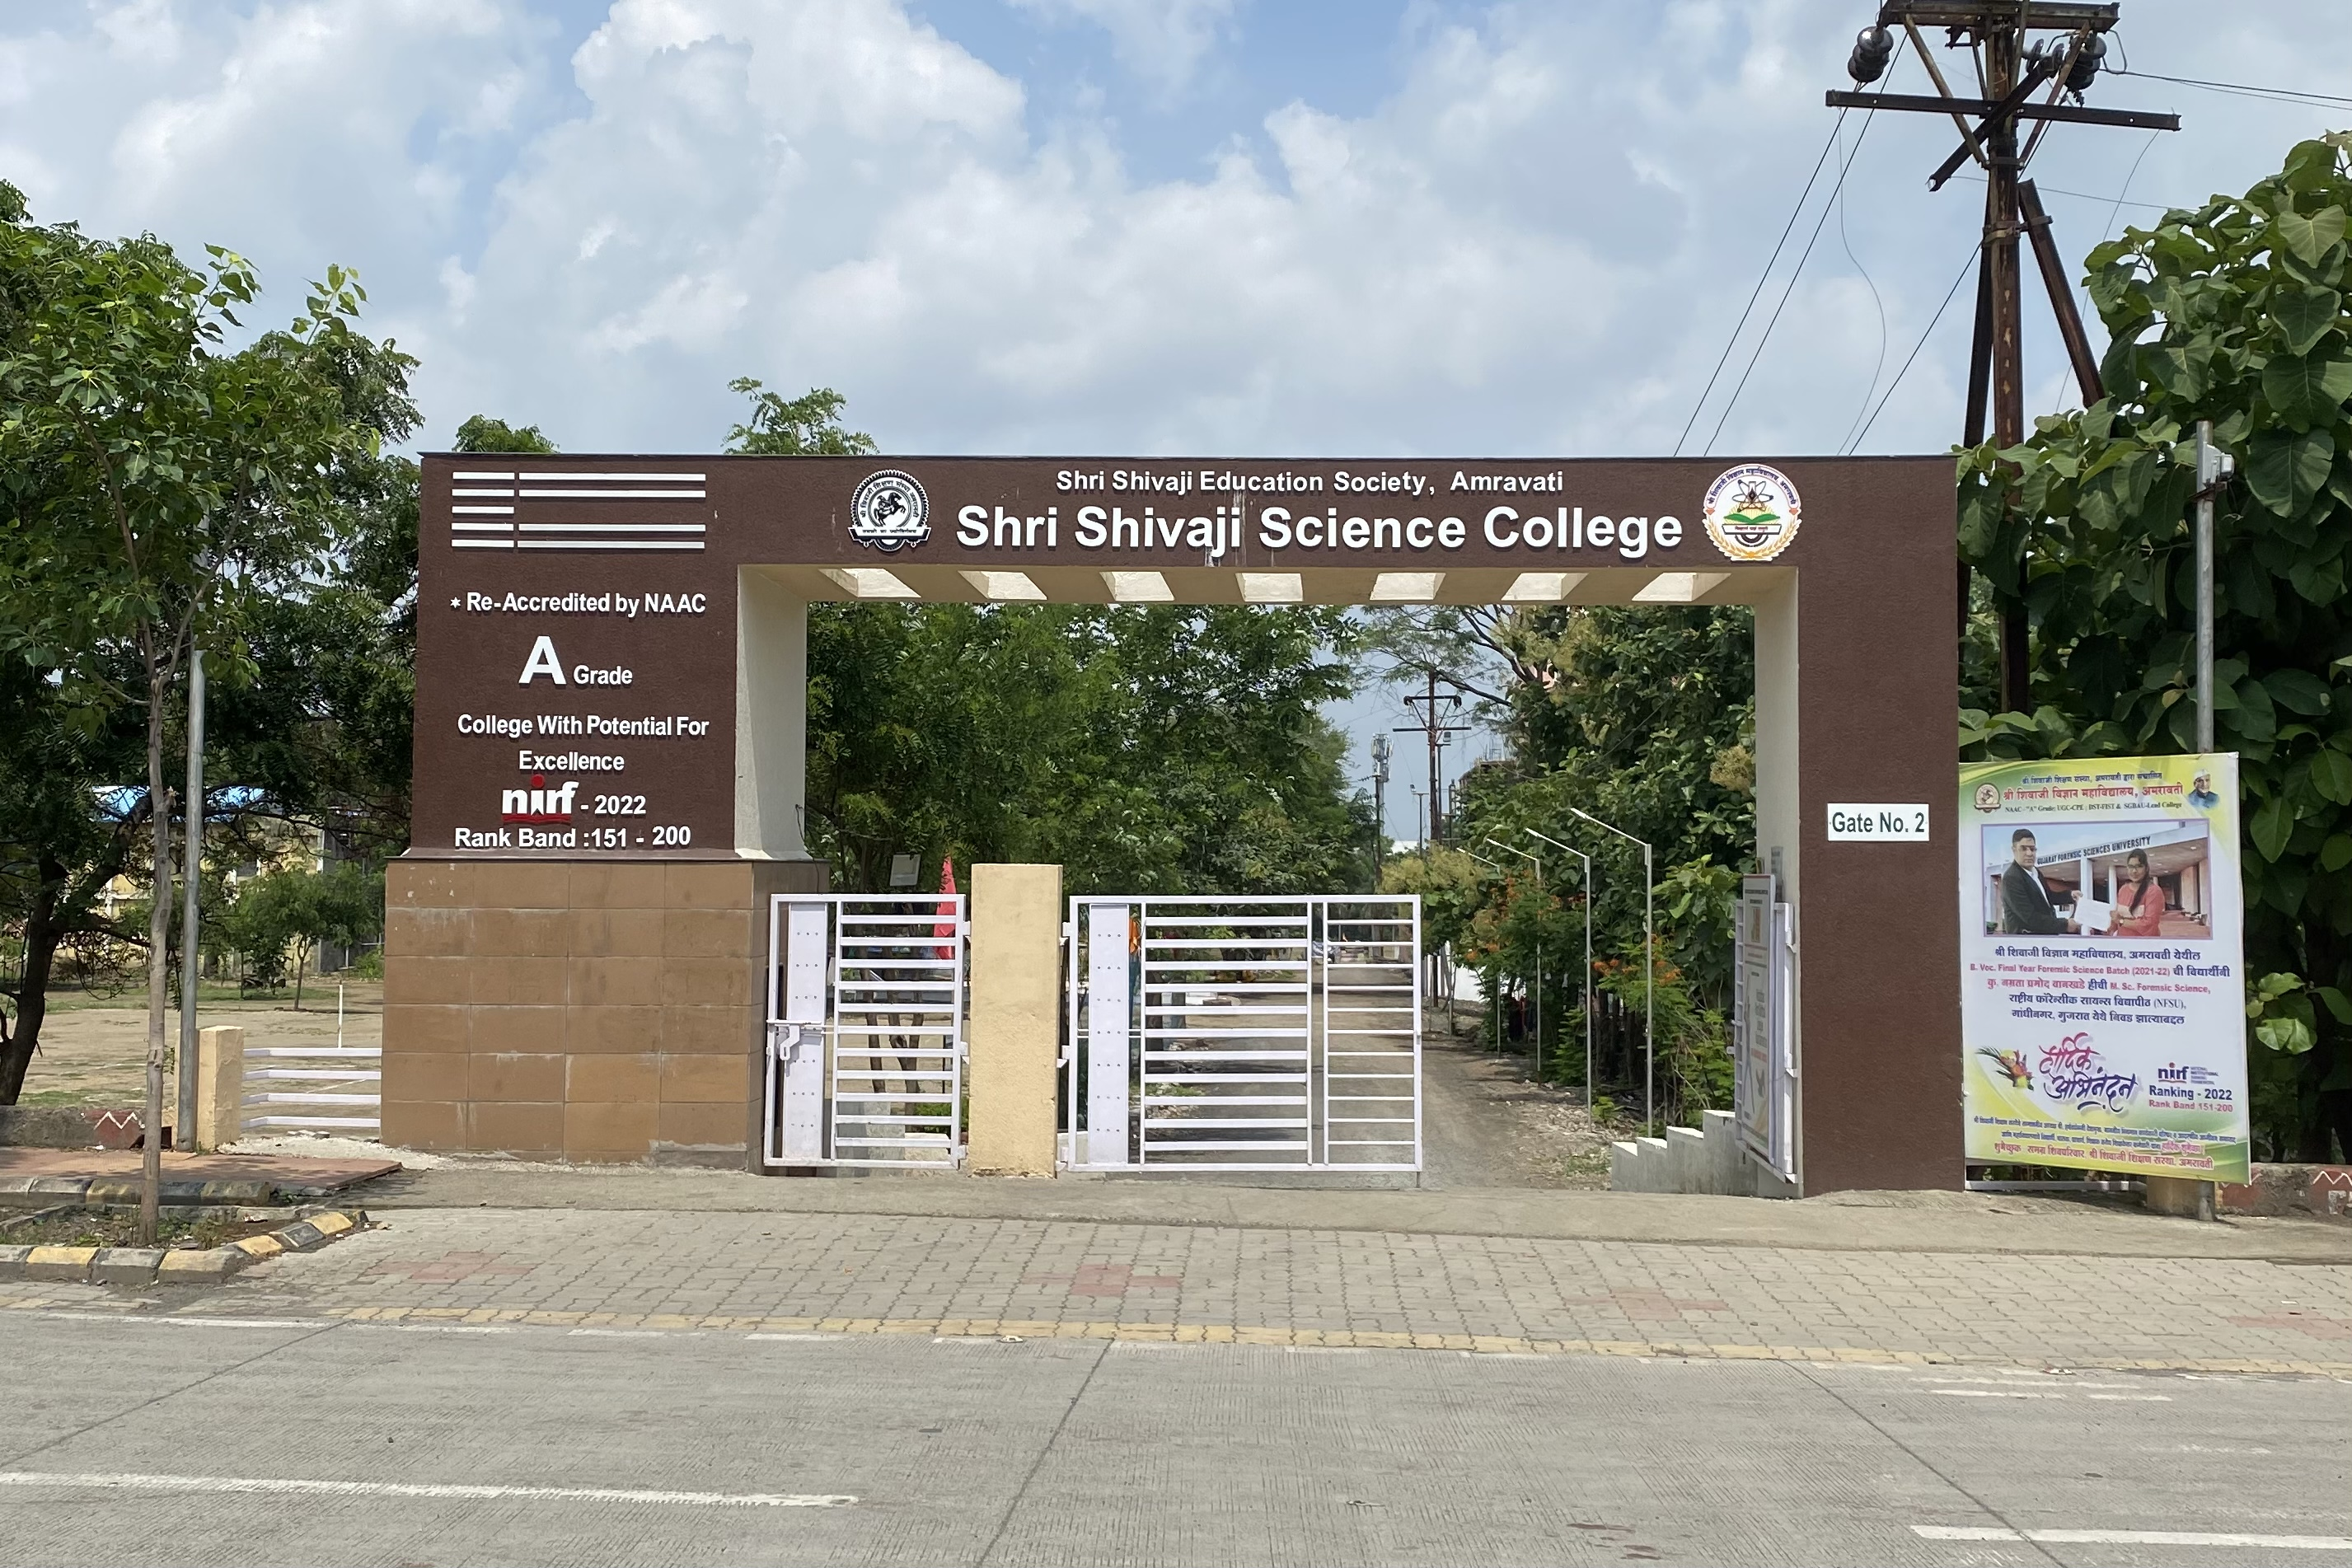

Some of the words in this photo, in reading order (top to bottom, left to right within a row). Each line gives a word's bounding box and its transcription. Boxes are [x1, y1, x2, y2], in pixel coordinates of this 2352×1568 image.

[1052, 466, 1107, 496] Shri
[1109, 464, 1199, 498] Shivaji
[1195, 467, 1328, 494] Education
[1332, 469, 1428, 496] Society
[1445, 466, 1567, 495] Amravati
[955, 501, 1062, 550] Shri
[1075, 498, 1246, 564] Shivaji
[1257, 504, 1471, 552] Science
[1481, 500, 1684, 564] College
[458, 590, 502, 611] Re-
[497, 587, 616, 616] Accredited
[611, 589, 649, 623] by
[642, 586, 710, 616] NAAC
[515, 623, 637, 690] AGrade
[452, 709, 541, 743] College
[534, 710, 589, 737] With
[584, 709, 680, 740] Potential
[672, 711, 714, 741] For
[517, 747, 630, 773] Excellence
[494, 773, 582, 823] nirf
[589, 791, 651, 821] 2022
[1829, 808, 1877, 835] Gate
[1875, 805, 1930, 837] No.2
[2000, 784, 2020, 803] श्री
[2003, 806, 2026, 815] NAAC-
[2017, 770, 2034, 788] डी
[2014, 784, 2053, 805] शिवाजी
[2023, 767, 2058, 789] शिवाजी
[2024, 802, 2057, 816] "A"Grade
[2050, 770, 2076, 787] शिक्षण
[2046, 780, 2081, 802] विज्ञान
[2052, 798, 2087, 813] UGC-CPE
[2087, 798, 2119, 813] DIST-FIST
[2081, 779, 2138, 800] महाविद्यालय,
[2119, 769, 2139, 784] द्वारा
[2139, 774, 2188, 800] अमरावती
[450, 820, 518, 852] Rank
[514, 823, 584, 850] Band
[589, 817, 696, 850] 151-200
[1992, 940, 2010, 960] श्री
[2005, 941, 2044, 960] शिवाजी
[2036, 940, 2073, 962] विज्ञान
[2069, 943, 2127, 962] महाविद्यालय,
[2124, 943, 2176, 963] अमरावती
[2167, 943, 2206, 965] येथील
[1969, 957, 2000, 975] Voc.
[1984, 971, 2001, 995] कु.
[1997, 961, 2020, 975] Final
[1998, 976, 2027, 990] नम्रता
[2006, 983, 2038, 1009] राष्ट्रीय
[2015, 960, 2040, 977] Year
[2008, 1001, 2056, 1021] गांधीनगर
[2023, 971, 2054, 992] प्रमोद
[2036, 959, 2076, 976] Forensic
[2034, 988, 2082, 1008] फॉरेन्सीक
[2047, 973, 2089, 992] वानखडे
[2055, 1006, 2095, 1027] गुजरात
[2069, 960, 2108, 976] Science
[2078, 994, 2114, 1009] सायन्स
[2084, 975, 2113, 995] हीची
[2090, 1004, 2111, 1025] येथे
[2103, 962, 2133, 979] Batch
[2104, 1004, 2138, 1025] बिवड
[2106, 977, 2138, 993] M.Sc.
[2109, 990, 2156, 1009] विद्यापीठ
[2134, 964, 2175, 978] 2021-22)
[2135, 981, 2175, 995] Forensic
[2134, 1009, 2187, 1027] झात्याबद्दल
[2152, 992, 2184, 1013] (NFSU)
[2167, 960, 2189, 980] बी
[2173, 979, 2212, 996] Science,
[2181, 960, 2235, 980] विद्यार्थीनी
[2031, 1027, 2100, 1081] हार्दिक
[2156, 1057, 2195, 1084] nirf
[2040, 1060, 2140, 1120] अभिनंदन
[2148, 1096, 2172, 1111] Rank
[2148, 1082, 2200, 1102] Ranking
[2170, 1098, 2198, 1113] Band
[2199, 1084, 2234, 1108] 2022
[1994, 1136, 2025, 1158] शुभेच्छुक
[2043, 1140, 2089, 1162] शिवपरिवार
[2086, 1144, 2101, 1161] श्री
[2094, 1141, 2130, 1163] शिवाजी
[2124, 1146, 2155, 1167] शिक्षण
[2153, 1149, 2177, 1169] संस्था
[2158, 1134, 2183, 1156] हार्दिक
[2176, 1153, 2219, 1171] अमरावती